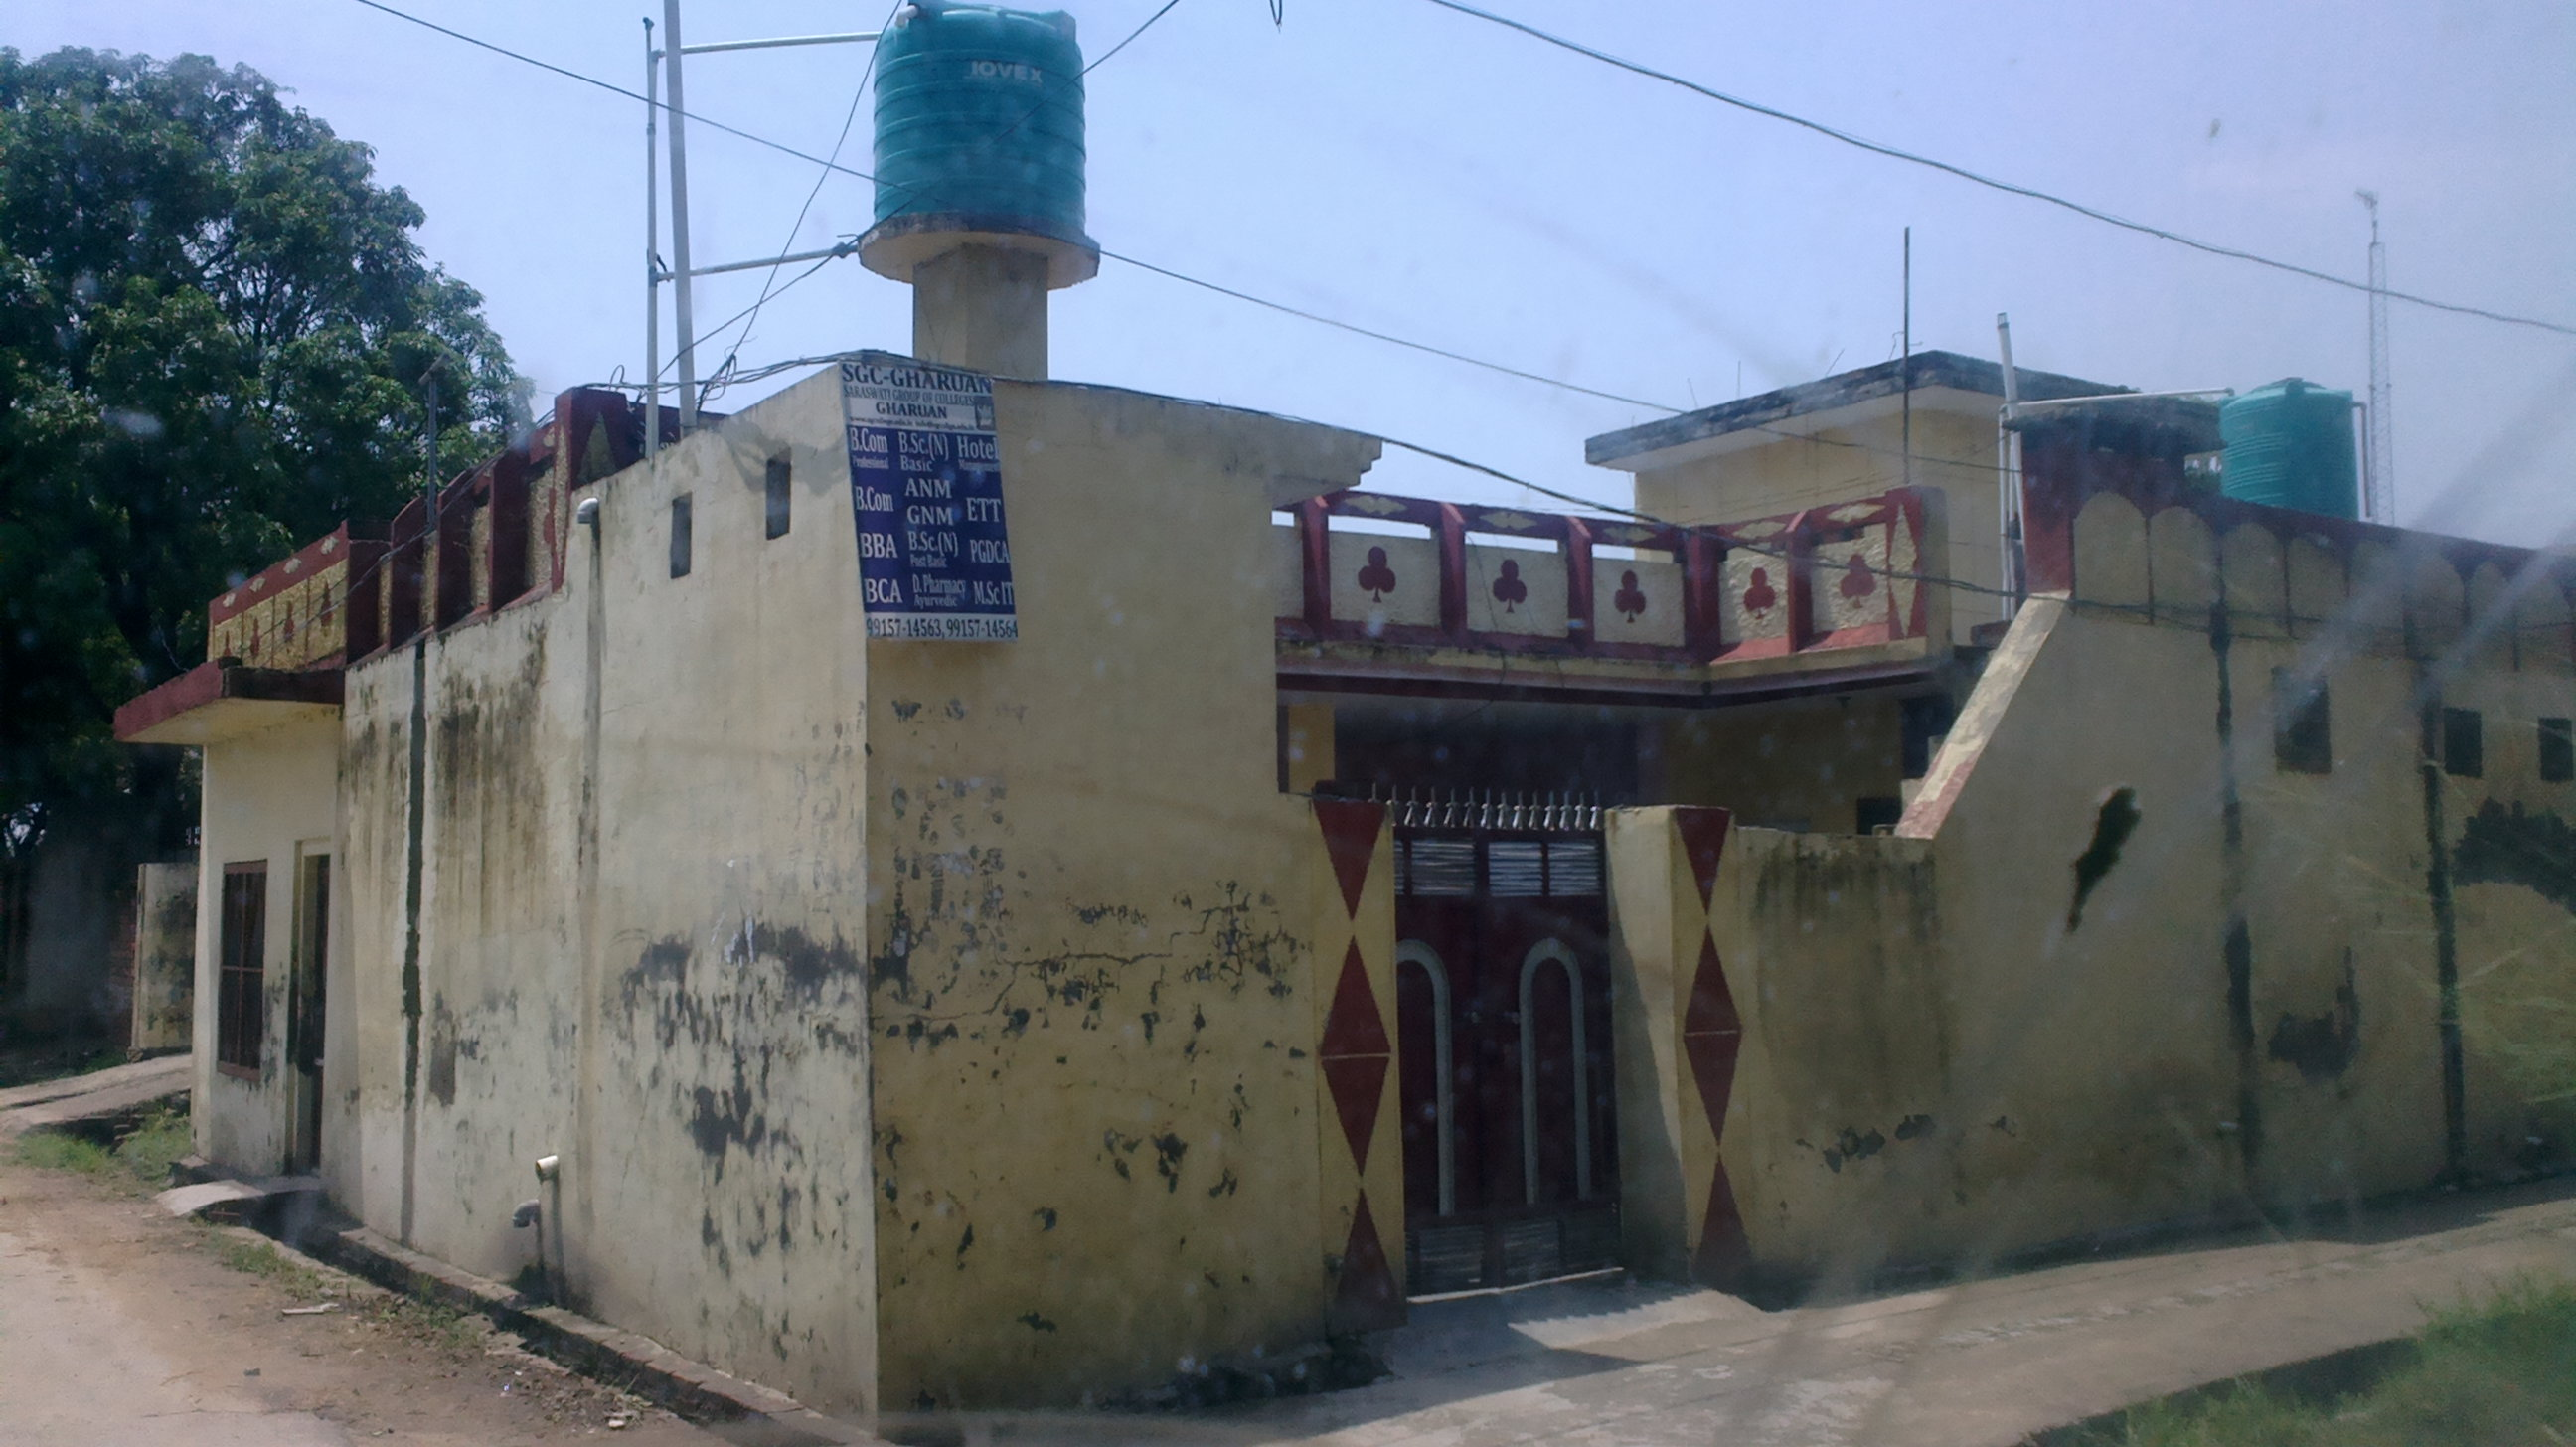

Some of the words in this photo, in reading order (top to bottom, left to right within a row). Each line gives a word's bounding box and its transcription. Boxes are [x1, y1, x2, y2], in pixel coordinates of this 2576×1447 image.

[966, 59, 1048, 87] IOVEX
[840, 357, 885, 386] SGC
[889, 363, 993, 394] GHARUAN
[871, 399, 951, 422] GHARUAN
[846, 425, 892, 455] B.Com
[895, 428, 930, 458] B.Sc.
[930, 430, 947, 460] N
[955, 434, 1001, 461] Hotel
[897, 454, 938, 474] Basic
[853, 480, 899, 520] B.Com
[899, 474, 957, 501] ANM
[902, 499, 963, 528] GNM
[963, 494, 1006, 526] ETT
[855, 526, 901, 562] BBA
[904, 525, 940, 555] B.Sc.
[939, 526, 957, 556] N)
[966, 536, 1012, 569] PGDCA
[860, 571, 907, 609] BCA
[907, 572, 971, 604] D.Pharmacy
[969, 575, 1015, 610] M.ScIT
[864, 615, 946, 640] 99157-14563,
[943, 613, 1019, 639] 99157-14564